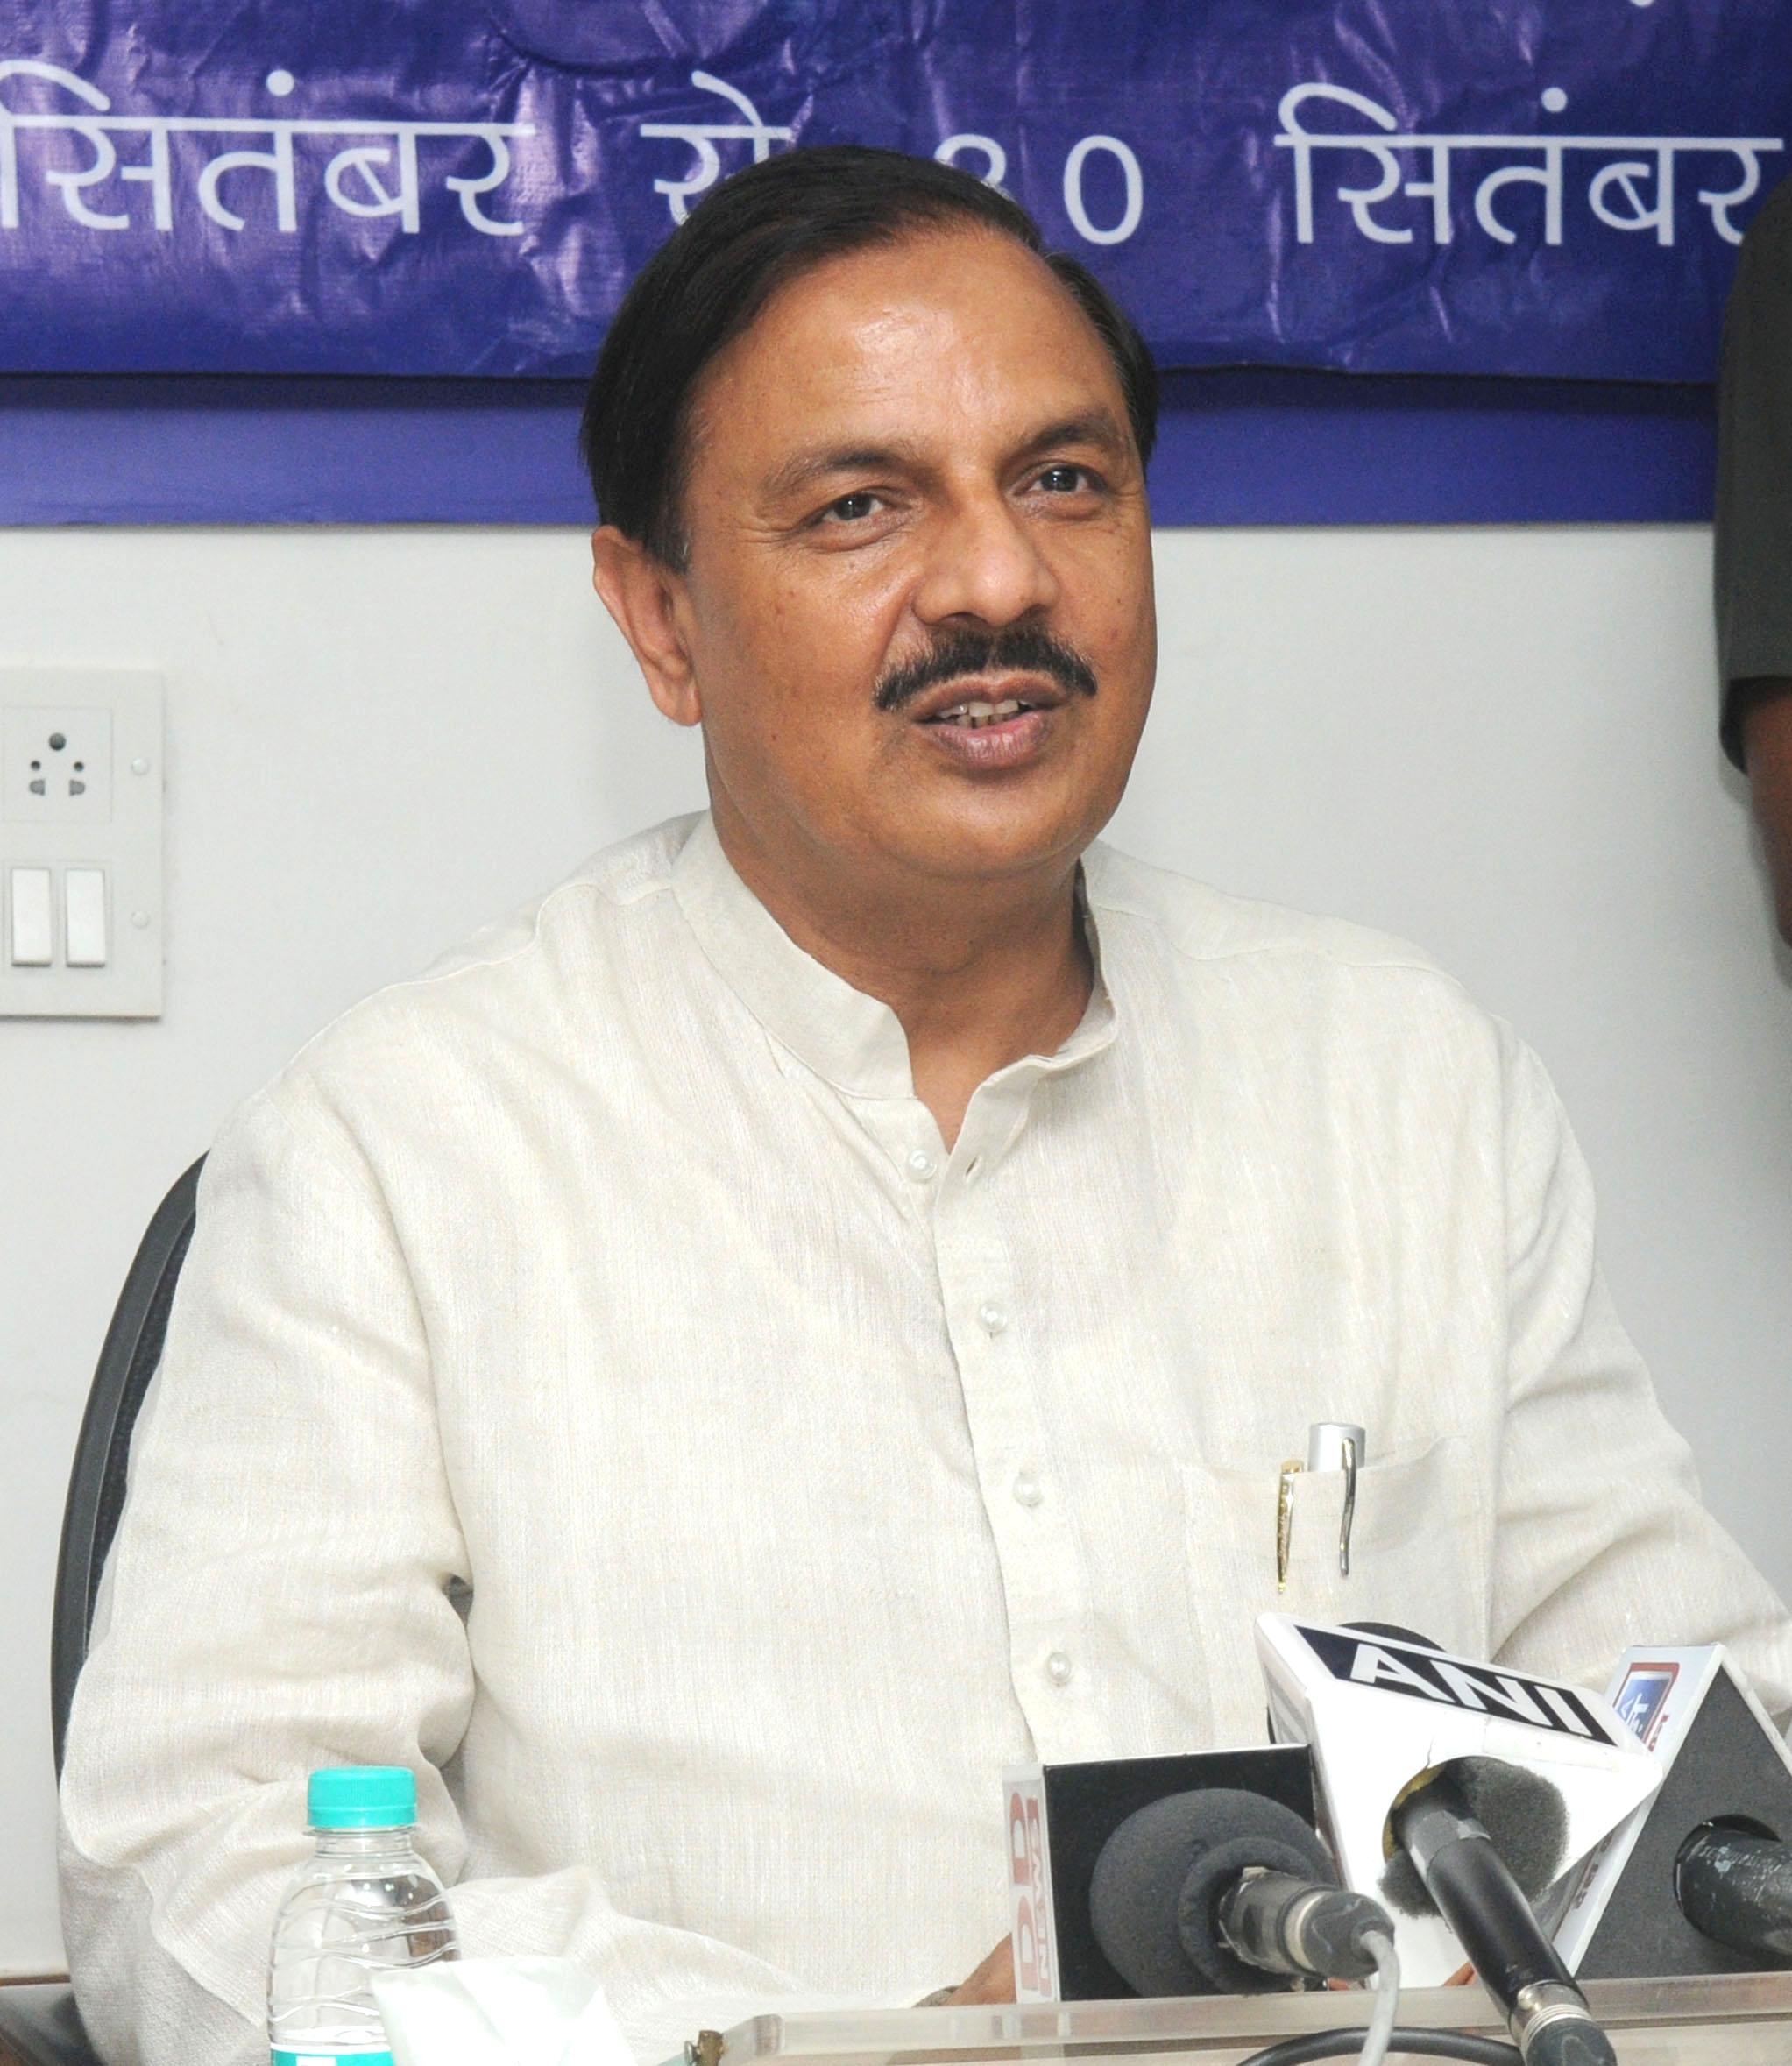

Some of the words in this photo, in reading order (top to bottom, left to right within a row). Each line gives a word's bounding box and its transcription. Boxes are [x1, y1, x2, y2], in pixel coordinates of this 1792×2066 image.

[2, 52, 543, 239] सितंबर
[639, 64, 794, 233] से
[1269, 76, 1789, 253] सितंबर